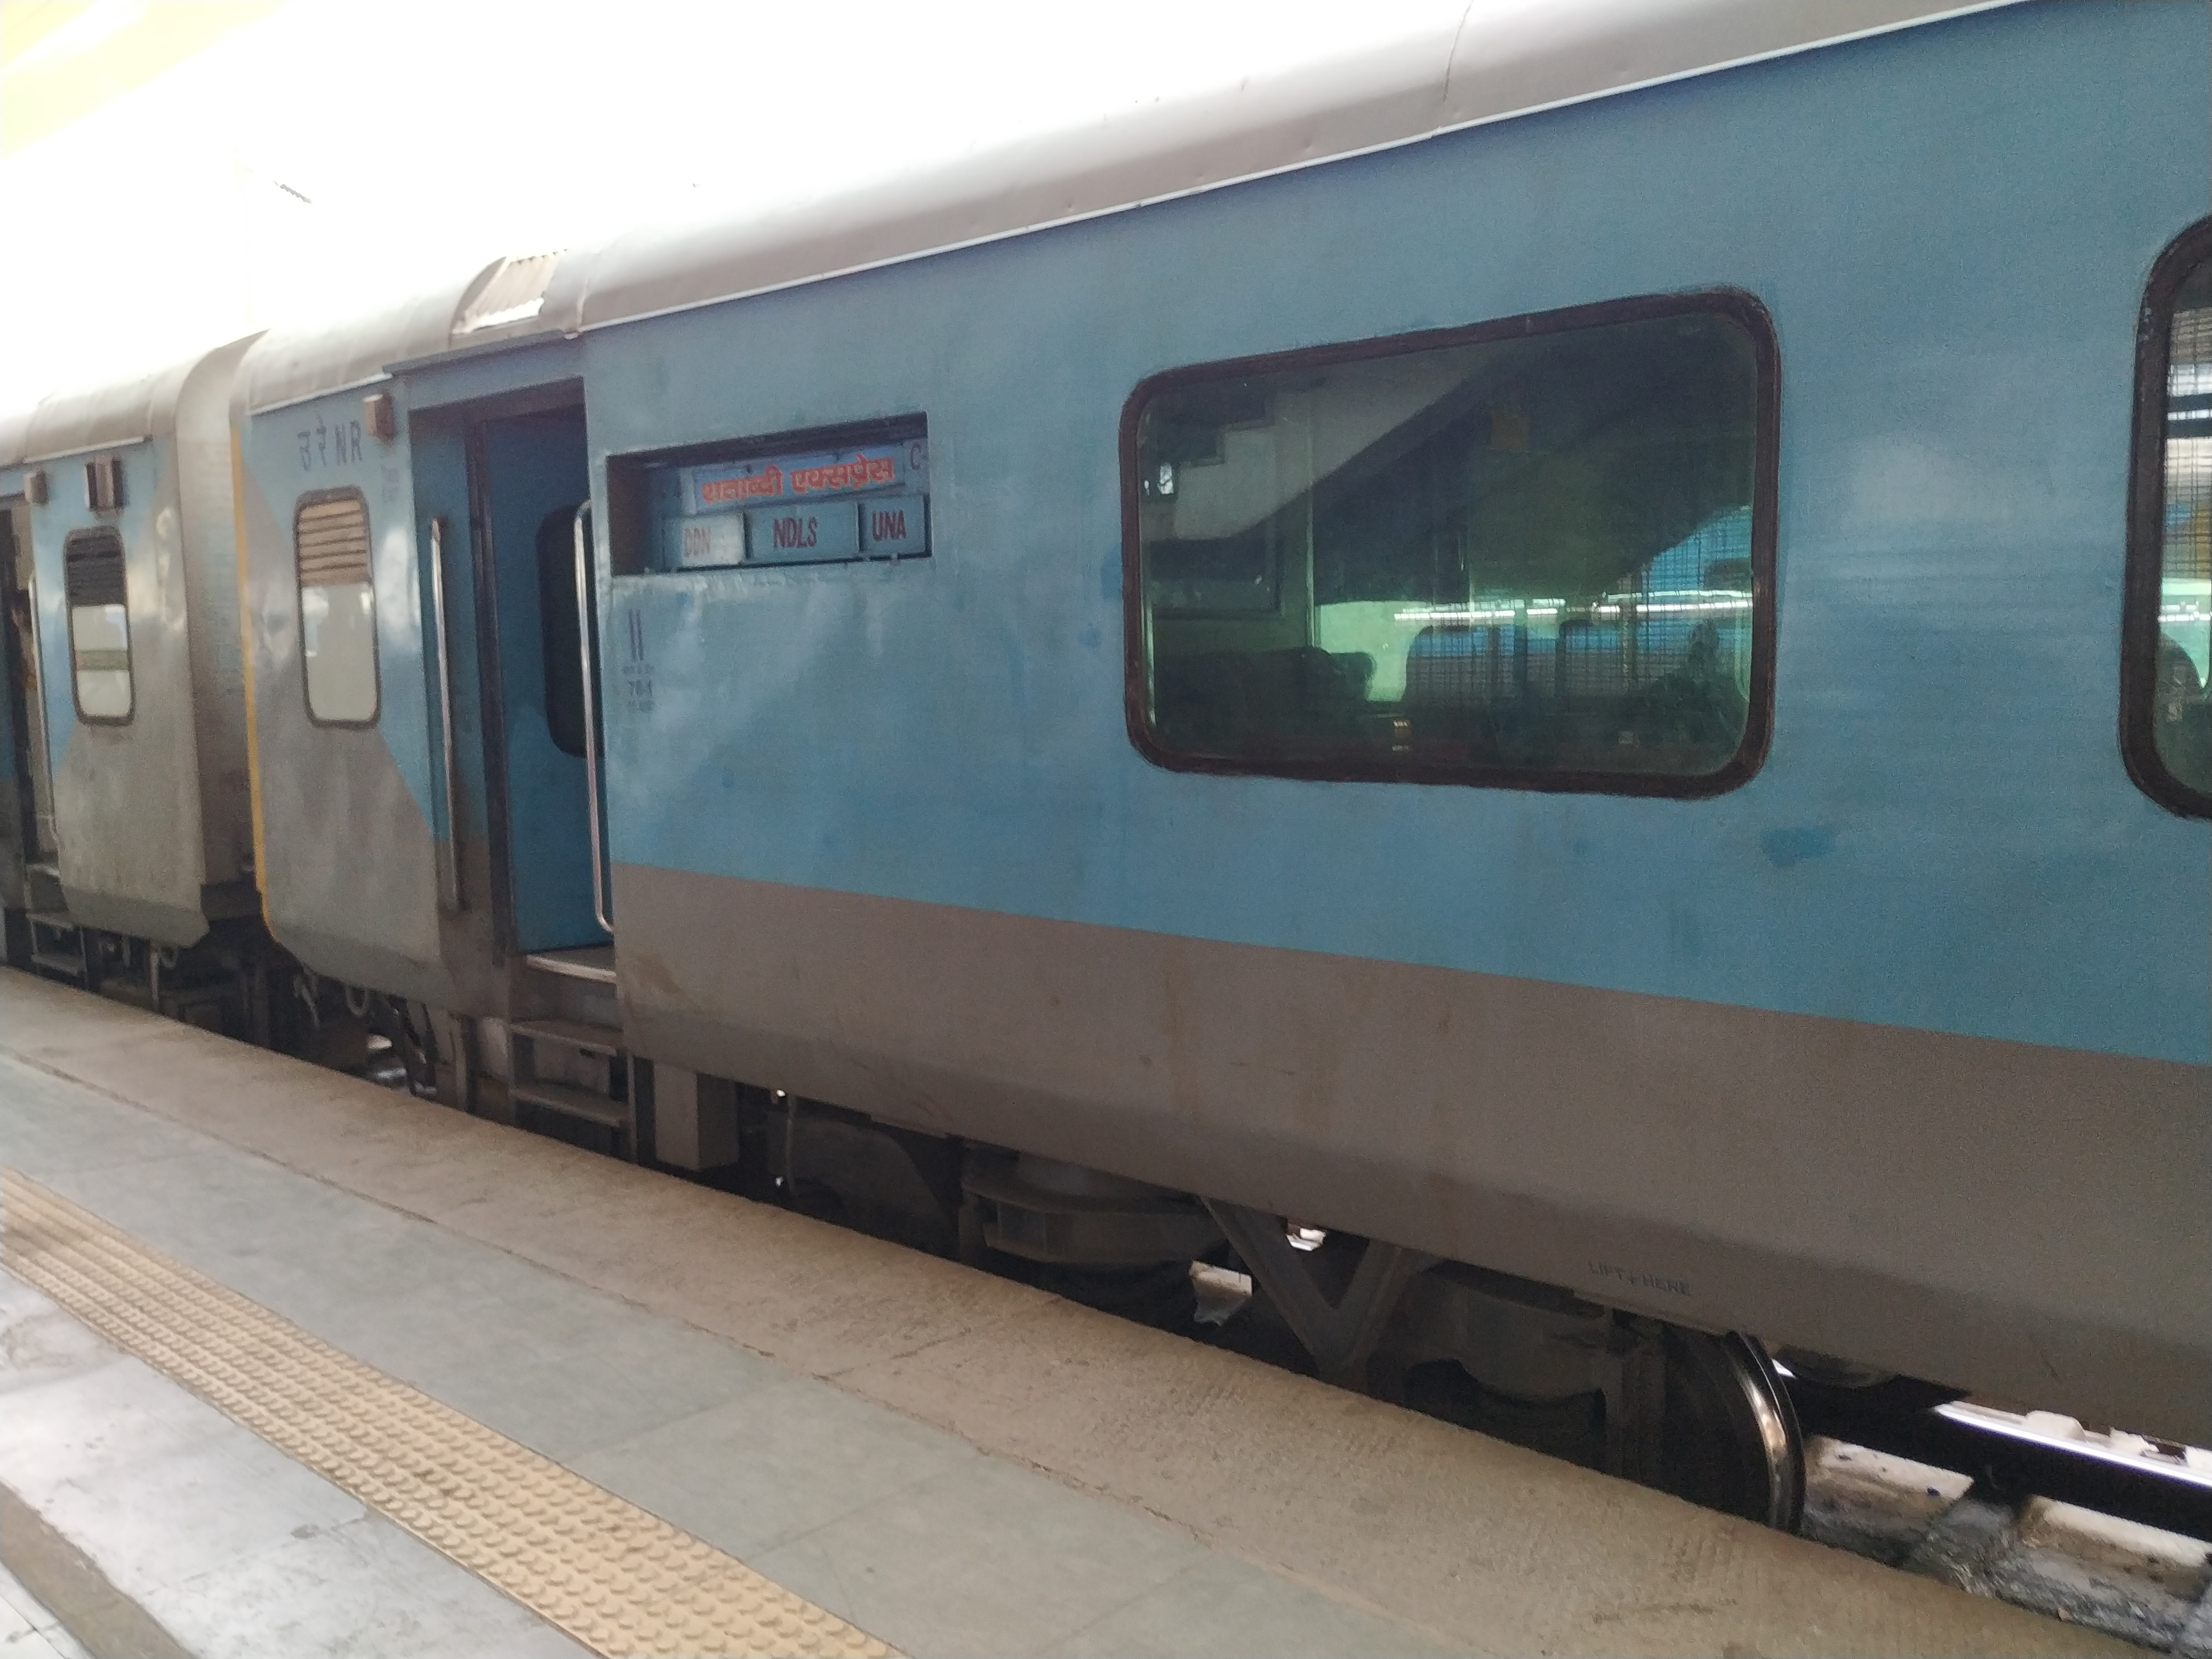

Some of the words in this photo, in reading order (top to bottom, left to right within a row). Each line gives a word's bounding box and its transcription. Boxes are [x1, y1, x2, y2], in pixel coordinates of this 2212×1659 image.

[702, 462, 782, 503] शताब्दी
[787, 451, 895, 495] एक्सप्रेस
[771, 516, 818, 551] NDLS